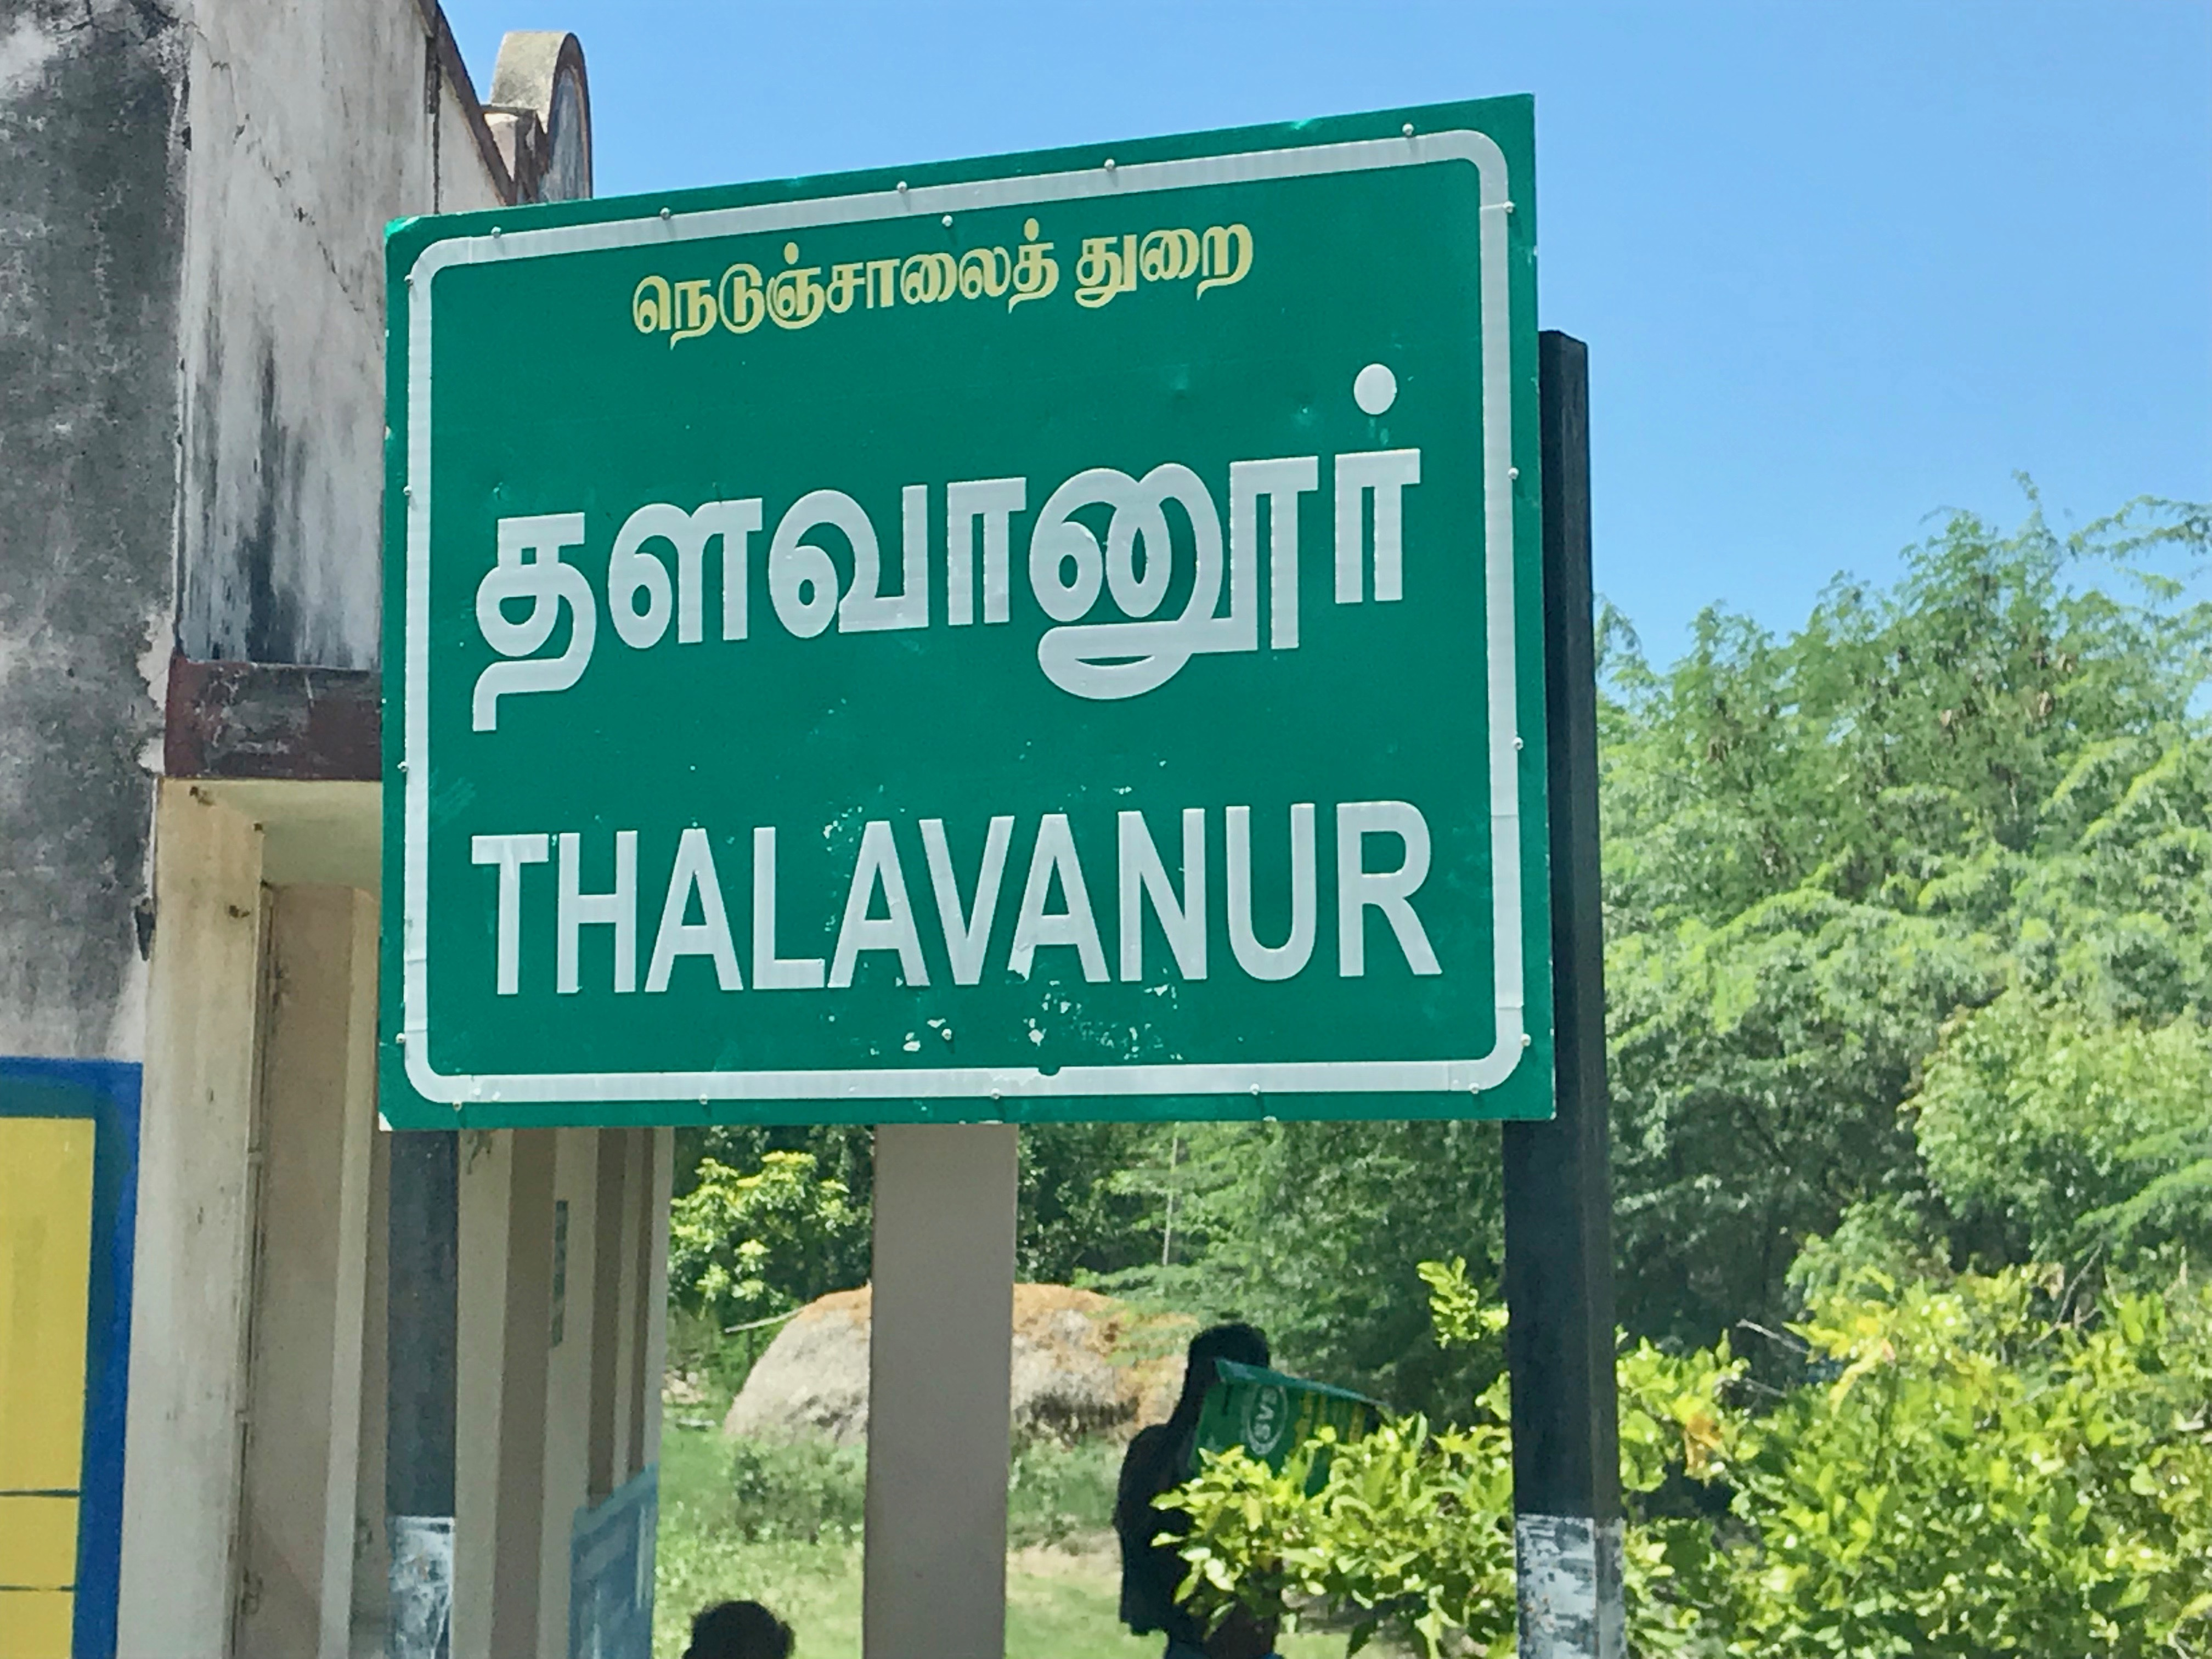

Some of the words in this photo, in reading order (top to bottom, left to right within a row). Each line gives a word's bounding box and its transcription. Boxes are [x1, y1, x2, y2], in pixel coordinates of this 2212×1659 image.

[629, 207, 1065, 354] நெடுஞ்சாலைத்
[465, 351, 1432, 740] தளவானூா்
[465, 794, 1447, 1001] THALAVANUR